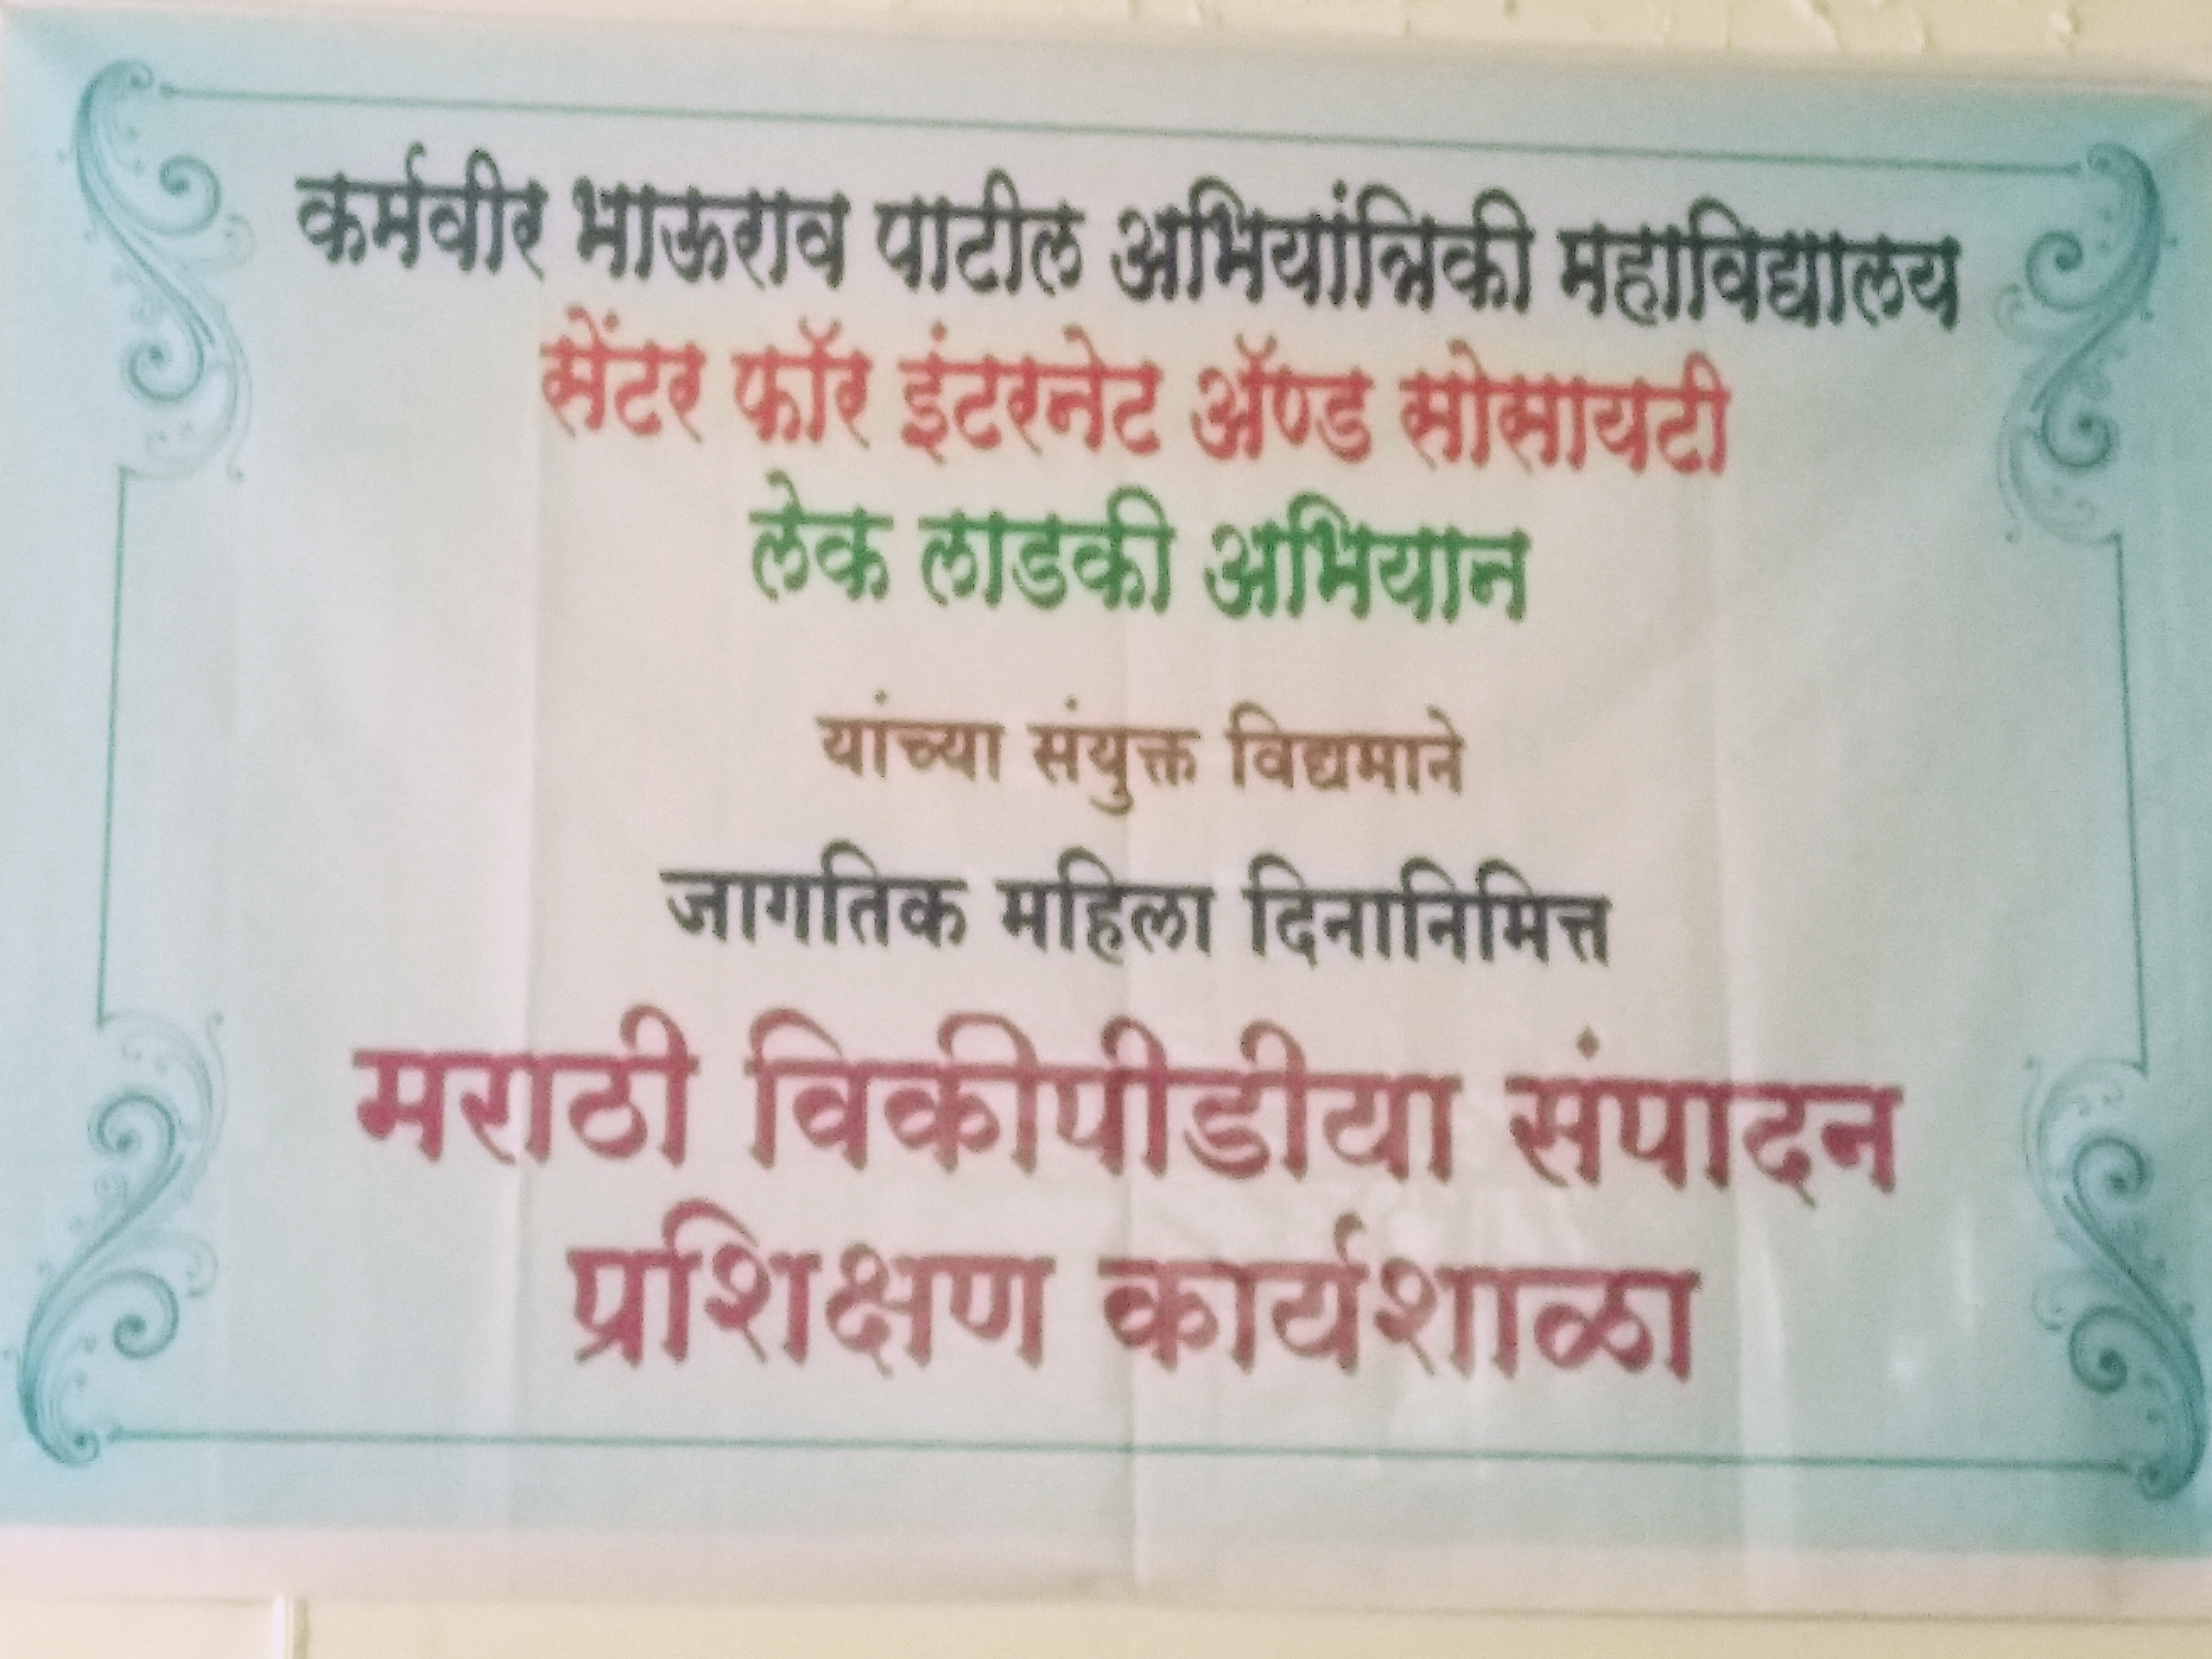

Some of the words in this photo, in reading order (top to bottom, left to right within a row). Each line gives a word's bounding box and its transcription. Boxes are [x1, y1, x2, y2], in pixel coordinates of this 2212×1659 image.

[282, 135, 560, 294] कर्मवीर
[558, 159, 858, 308] भाऊराव
[864, 157, 1099, 312] पाटील
[1100, 165, 1546, 330] अभियांन्निकी
[1548, 193, 1989, 352] महाविद्यालय
[512, 293, 718, 464] सेंटर
[719, 306, 885, 476] फॉर
[885, 309, 1171, 474] इंटरनेट
[1175, 325, 1387, 477] ॲण्ड
[1383, 334, 1749, 492] सोसायटी
[729, 461, 902, 621] लेक
[903, 480, 1178, 629] लाडकी
[1195, 486, 1543, 656] अभियान
[796, 676, 1015, 801] यांच्या
[1017, 685, 1213, 825] संयुक्त
[1212, 683, 1487, 813] विद्यमाने
[649, 825, 982, 960] जागतिक
[975, 835, 1228, 974] महिला
[1231, 840, 1621, 980] दिनानिमित्त
[337, 987, 709, 1192] मराठी
[721, 986, 1477, 1212] विकीपीडीया
[1494, 1016, 1920, 1219] संपादन
[551, 1184, 1070, 1402] प्रशिक्षण
[1085, 1208, 1722, 1405] कार्यशाळा